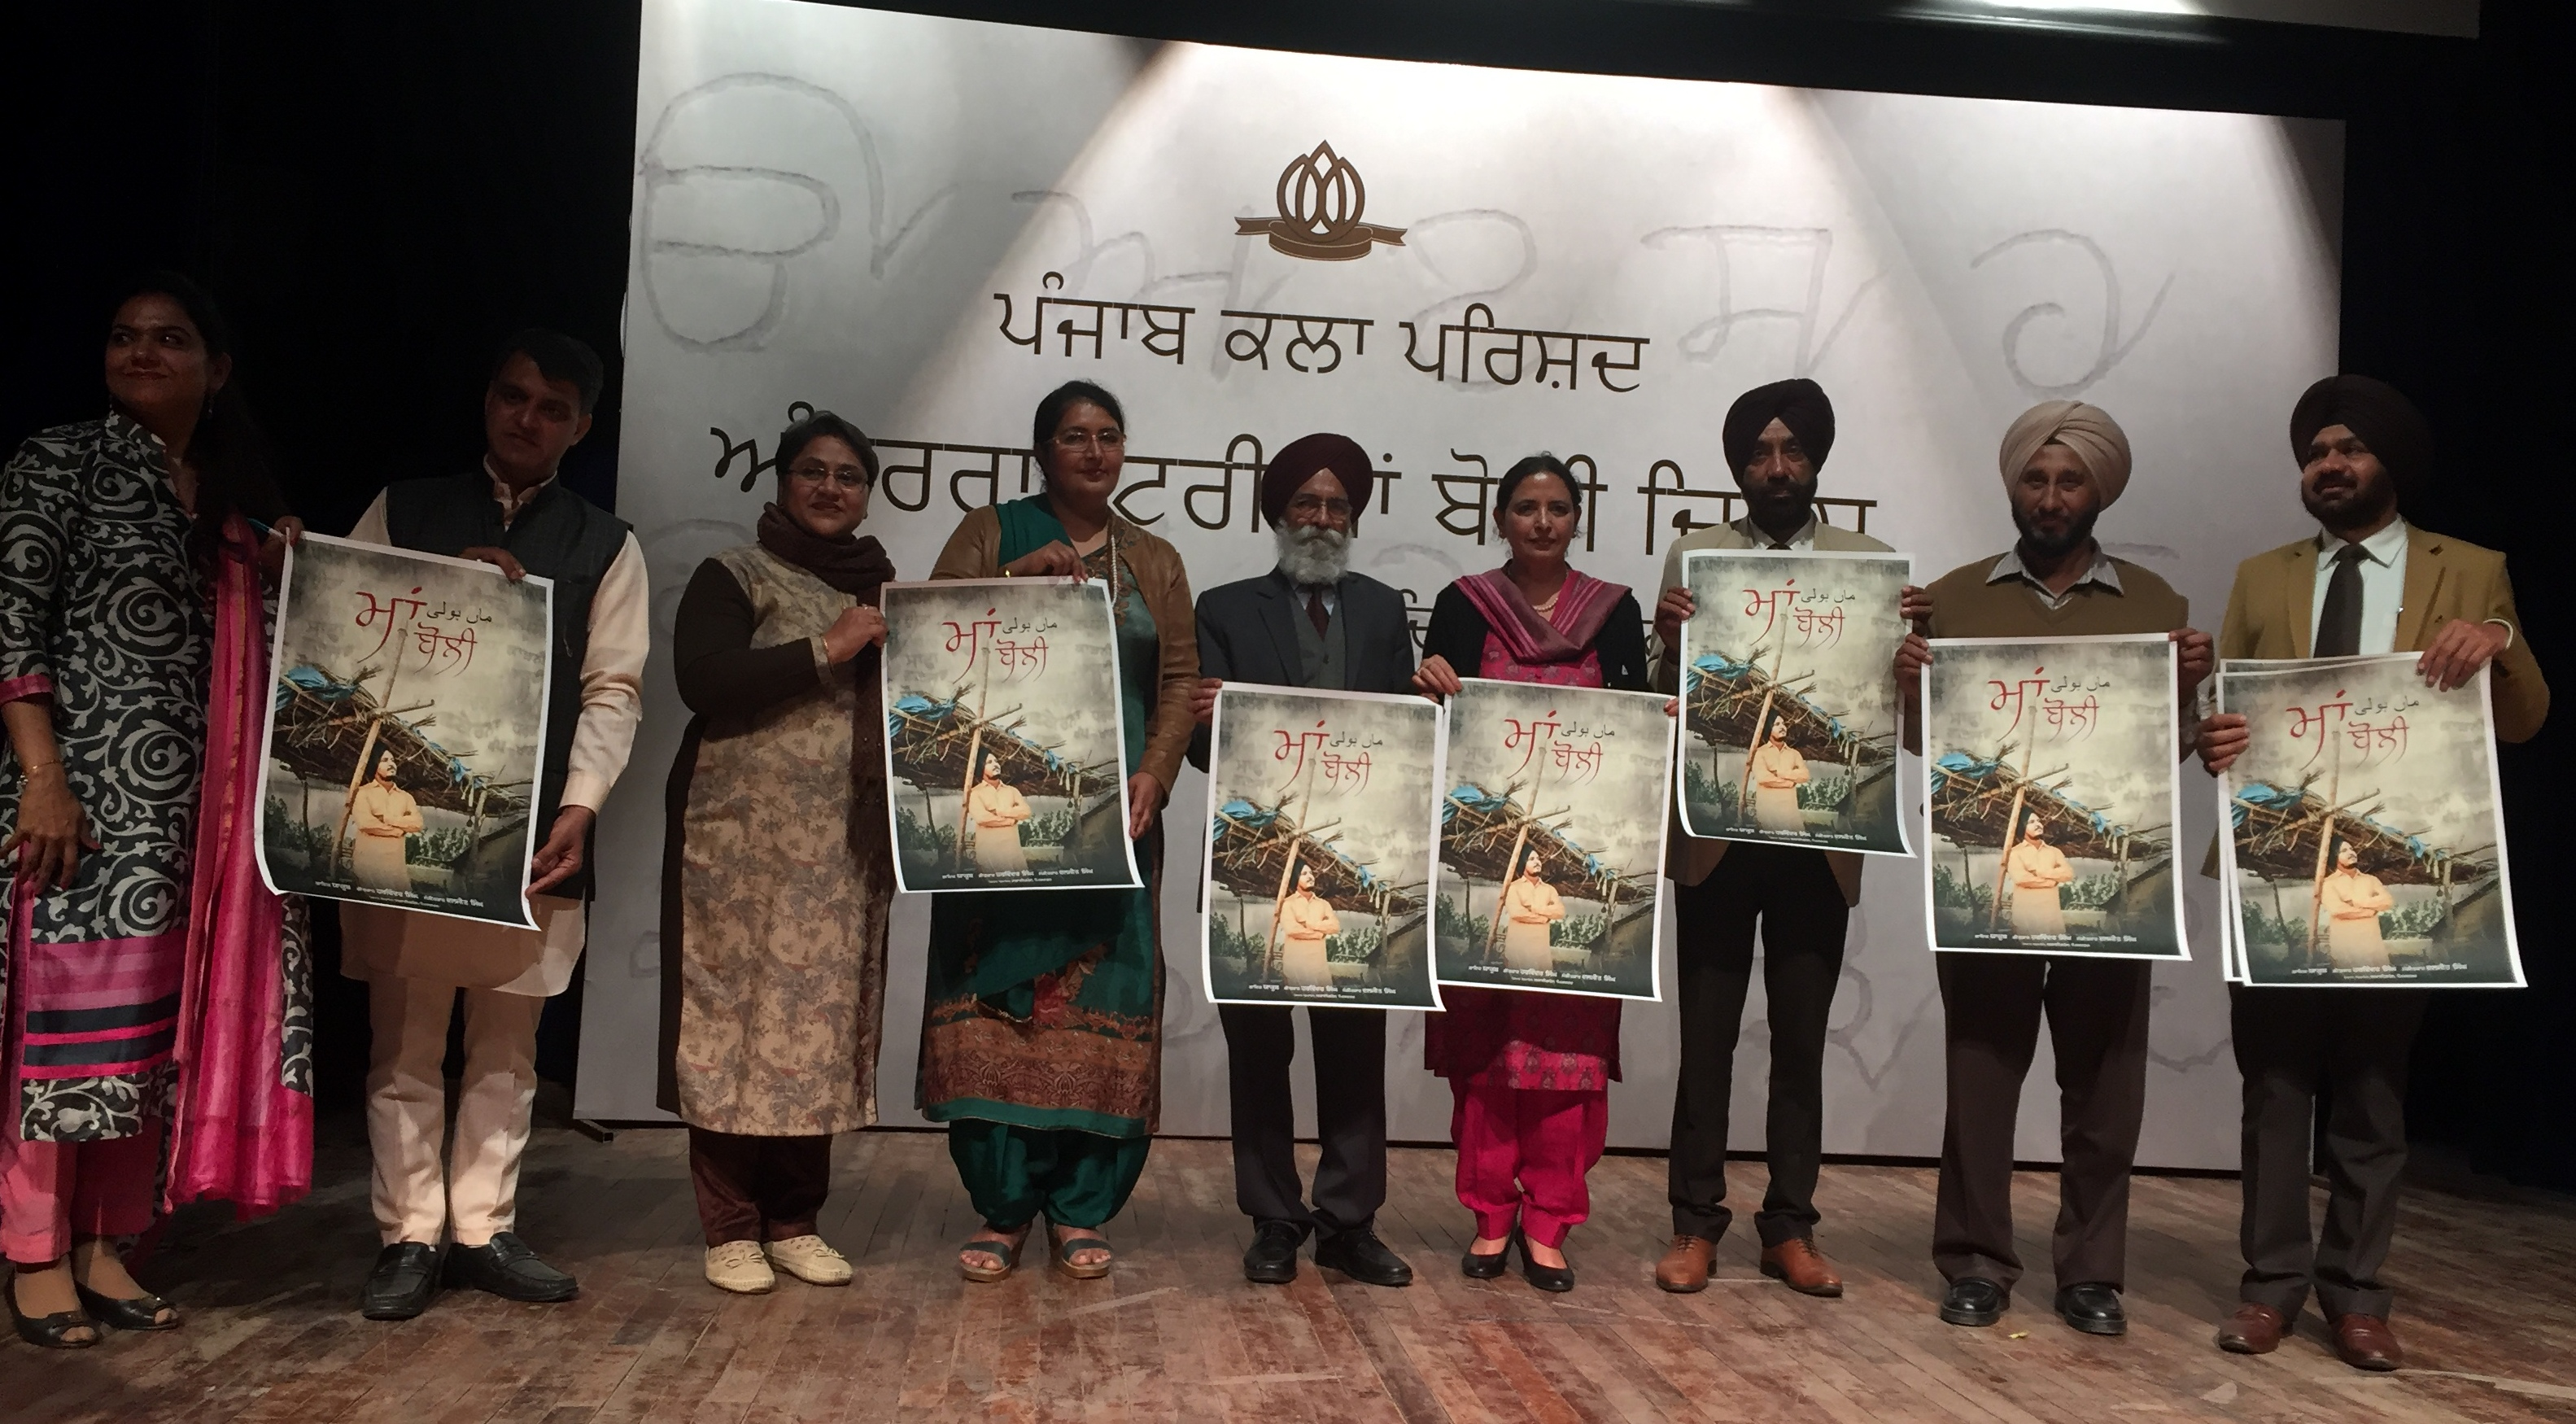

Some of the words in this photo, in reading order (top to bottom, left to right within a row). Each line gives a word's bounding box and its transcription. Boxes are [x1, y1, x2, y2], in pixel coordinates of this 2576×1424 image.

[982, 261, 1214, 380] ਪੰਜਾਬ
[1212, 291, 1386, 390] ਕਲਾ
[1383, 299, 1656, 402] ਪਰਿਸ਼ਦ
[1111, 426, 1268, 548] ਟਰੀ
[1418, 439, 1499, 558] ਬੋ
[343, 577, 433, 669] ਮਾਂ
[404, 616, 484, 683] ਬੋਲੀ
[933, 605, 1006, 689] ਮਾਂ
[990, 635, 1054, 688] ਬੇਲੀ
[1735, 575, 1803, 652] ਮਾਂ
[1780, 605, 1853, 660] ਬੋਲੀ
[1267, 714, 1335, 797] ਮਾਂ
[1312, 748, 1378, 804] ਬੇ
[1496, 707, 1567, 784] ਮਾਂ
[1542, 736, 1608, 796] घॆਲੀ
[1983, 662, 2056, 745] ਮਾਂ
[2033, 692, 2107, 754] ਬੋਲੀ
[2273, 684, 2357, 775] ਮਾਂ
[2338, 714, 2416, 779] ਬੇਲੀ